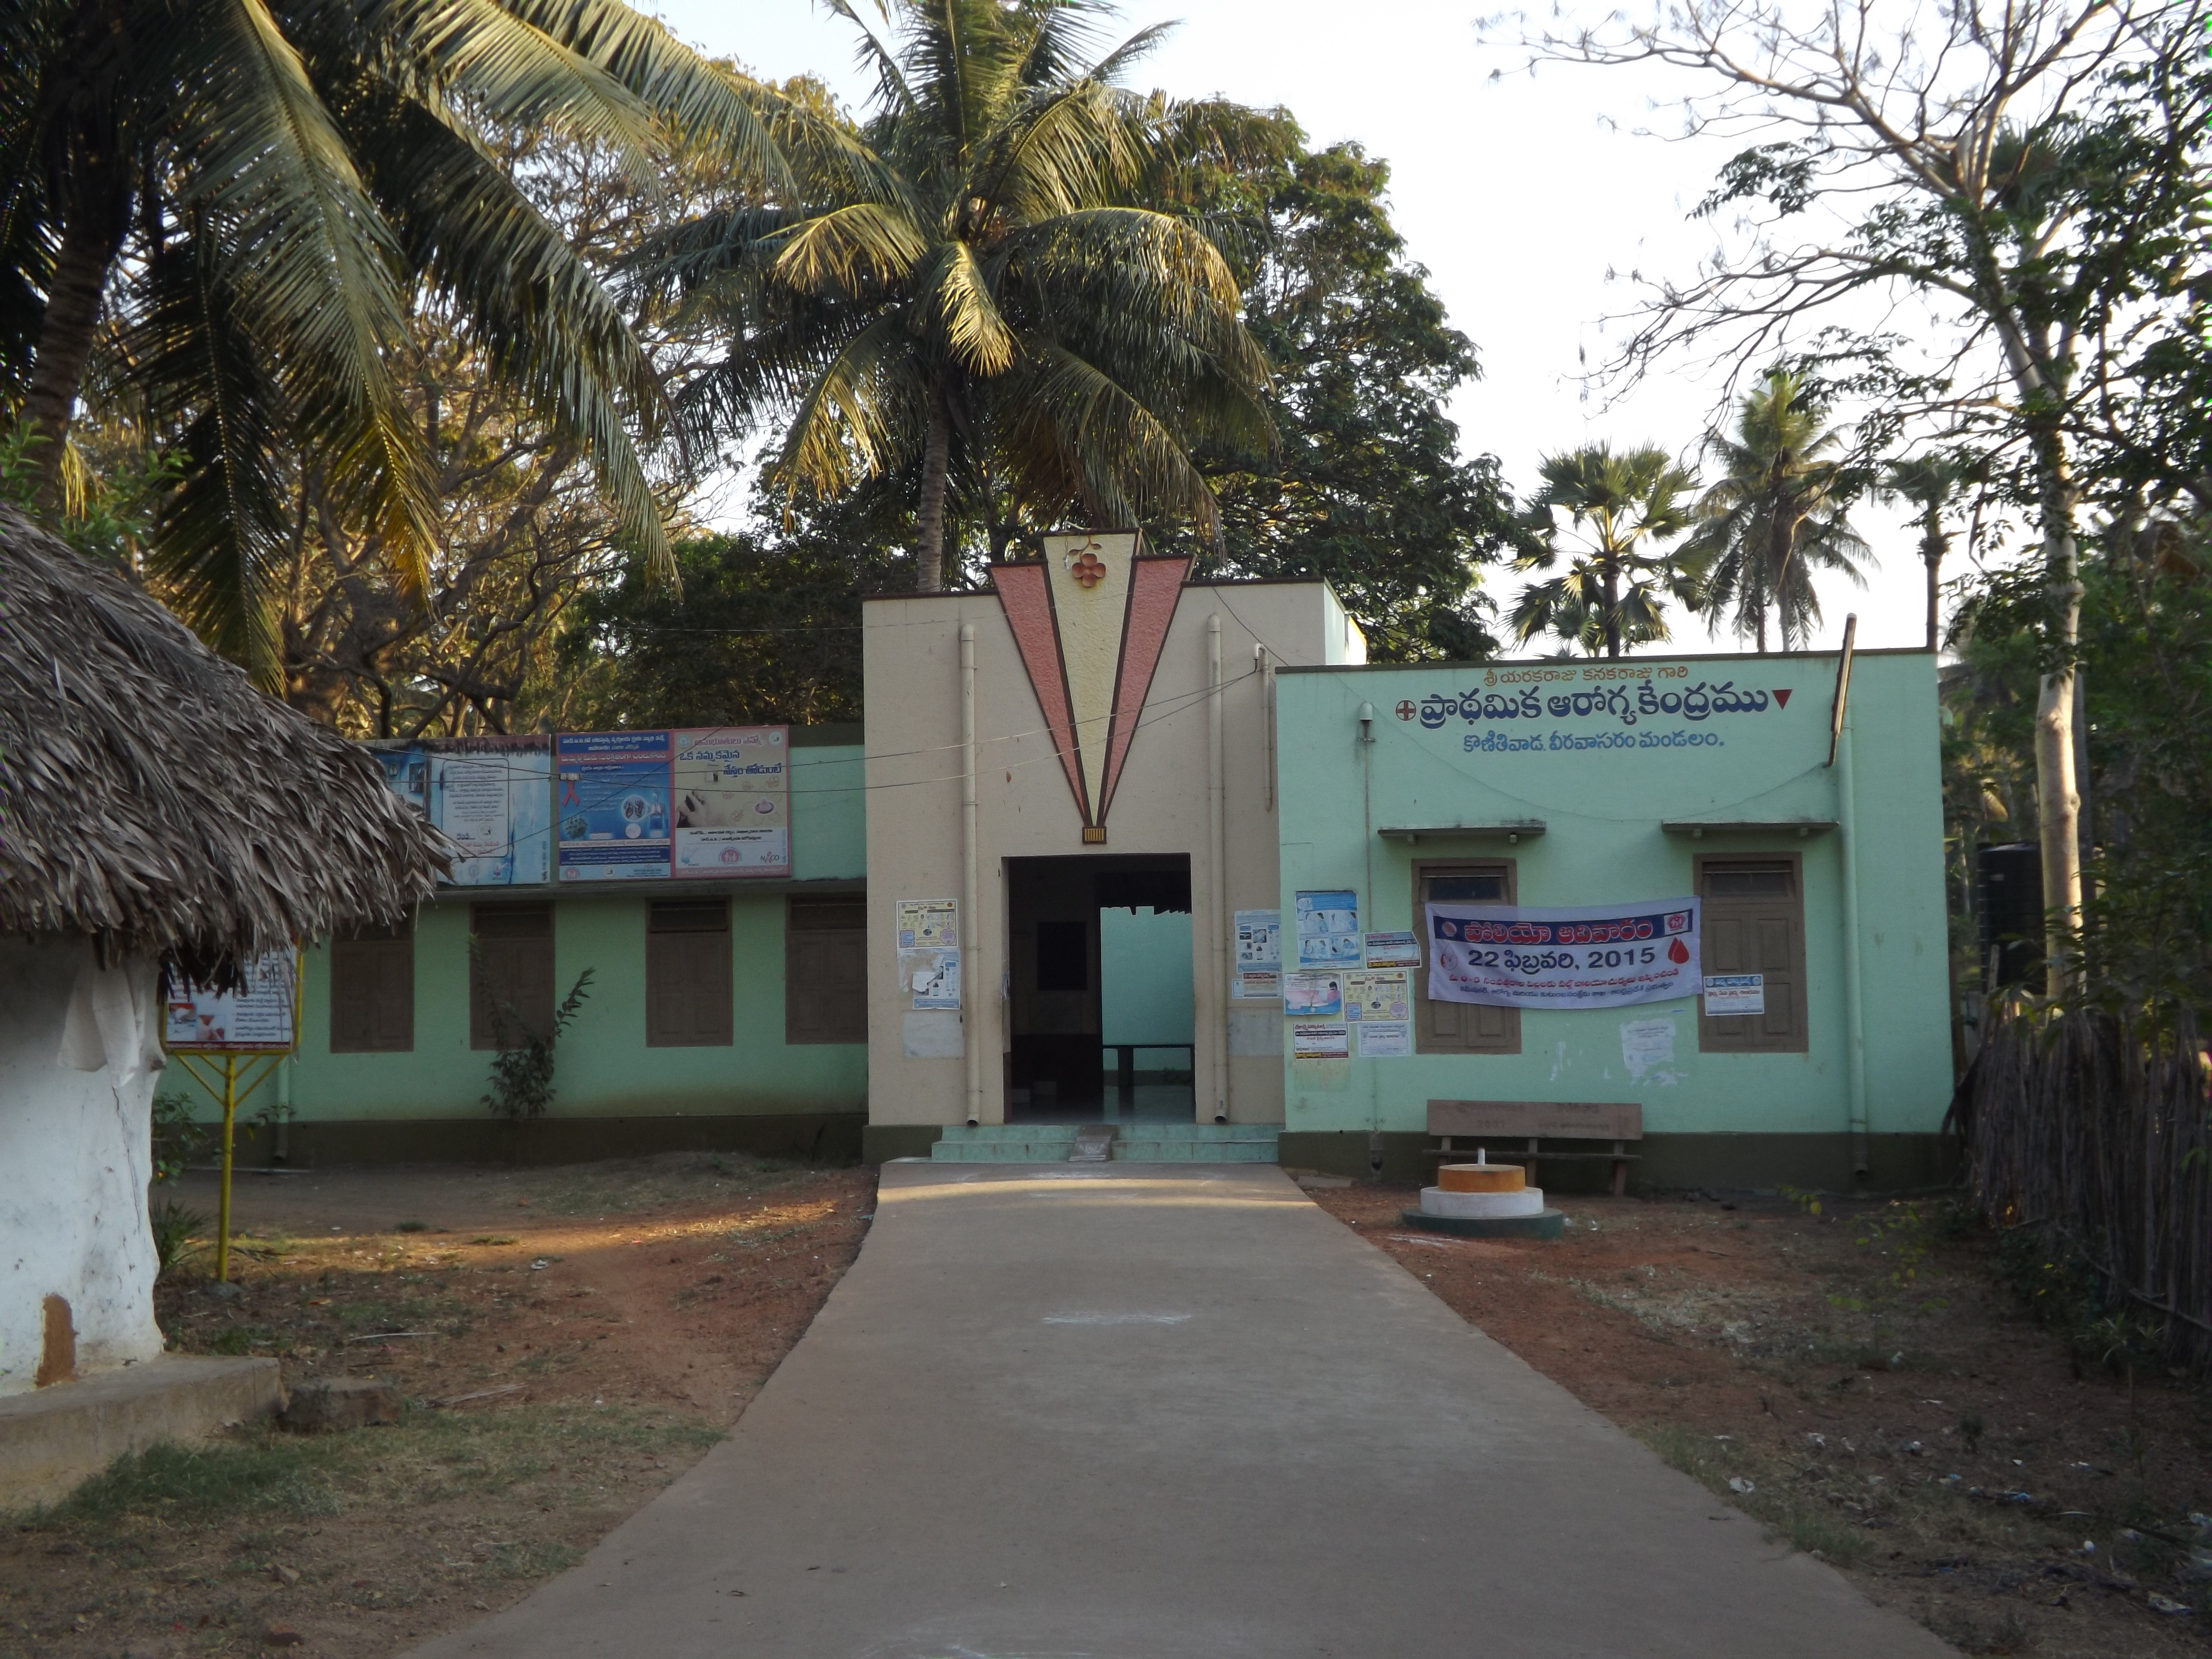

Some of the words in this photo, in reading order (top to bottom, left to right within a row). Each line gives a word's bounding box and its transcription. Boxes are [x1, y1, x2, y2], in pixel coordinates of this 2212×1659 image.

[1479, 663, 1580, 690] శ్రీయరకరాజు
[1580, 661, 1655, 684] కనకరాజు
[1655, 660, 1691, 682] గారి
[1417, 682, 1547, 734] ప్రాథమిక
[1543, 673, 1772, 728] ఆరోగ్యకేంద్రము
[559, 752, 599, 767] మమ్మల్పమడు
[677, 747, 696, 762] ఒక
[691, 745, 742, 764] సమ్మకమైన
[719, 758, 746, 781] నేస్తల
[740, 731, 766, 748] ఎన్నో
[1459, 727, 1549, 757] కొణితివాడ.
[1547, 726, 1638, 754] వీరవాసరం
[1636, 726, 1728, 751] మండలం
[1460, 917, 1554, 951] పోలియో
[1556, 916, 1656, 946] ఆదివారం
[1465, 944, 1501, 971] 22
[1499, 944, 1576, 977] ఫిబ్రవరి
[1581, 942, 1661, 976] 2015
[1525, 973, 1560, 993] పిల్లలకు
[1635, 965, 1681, 987] ఇట్పందిండి